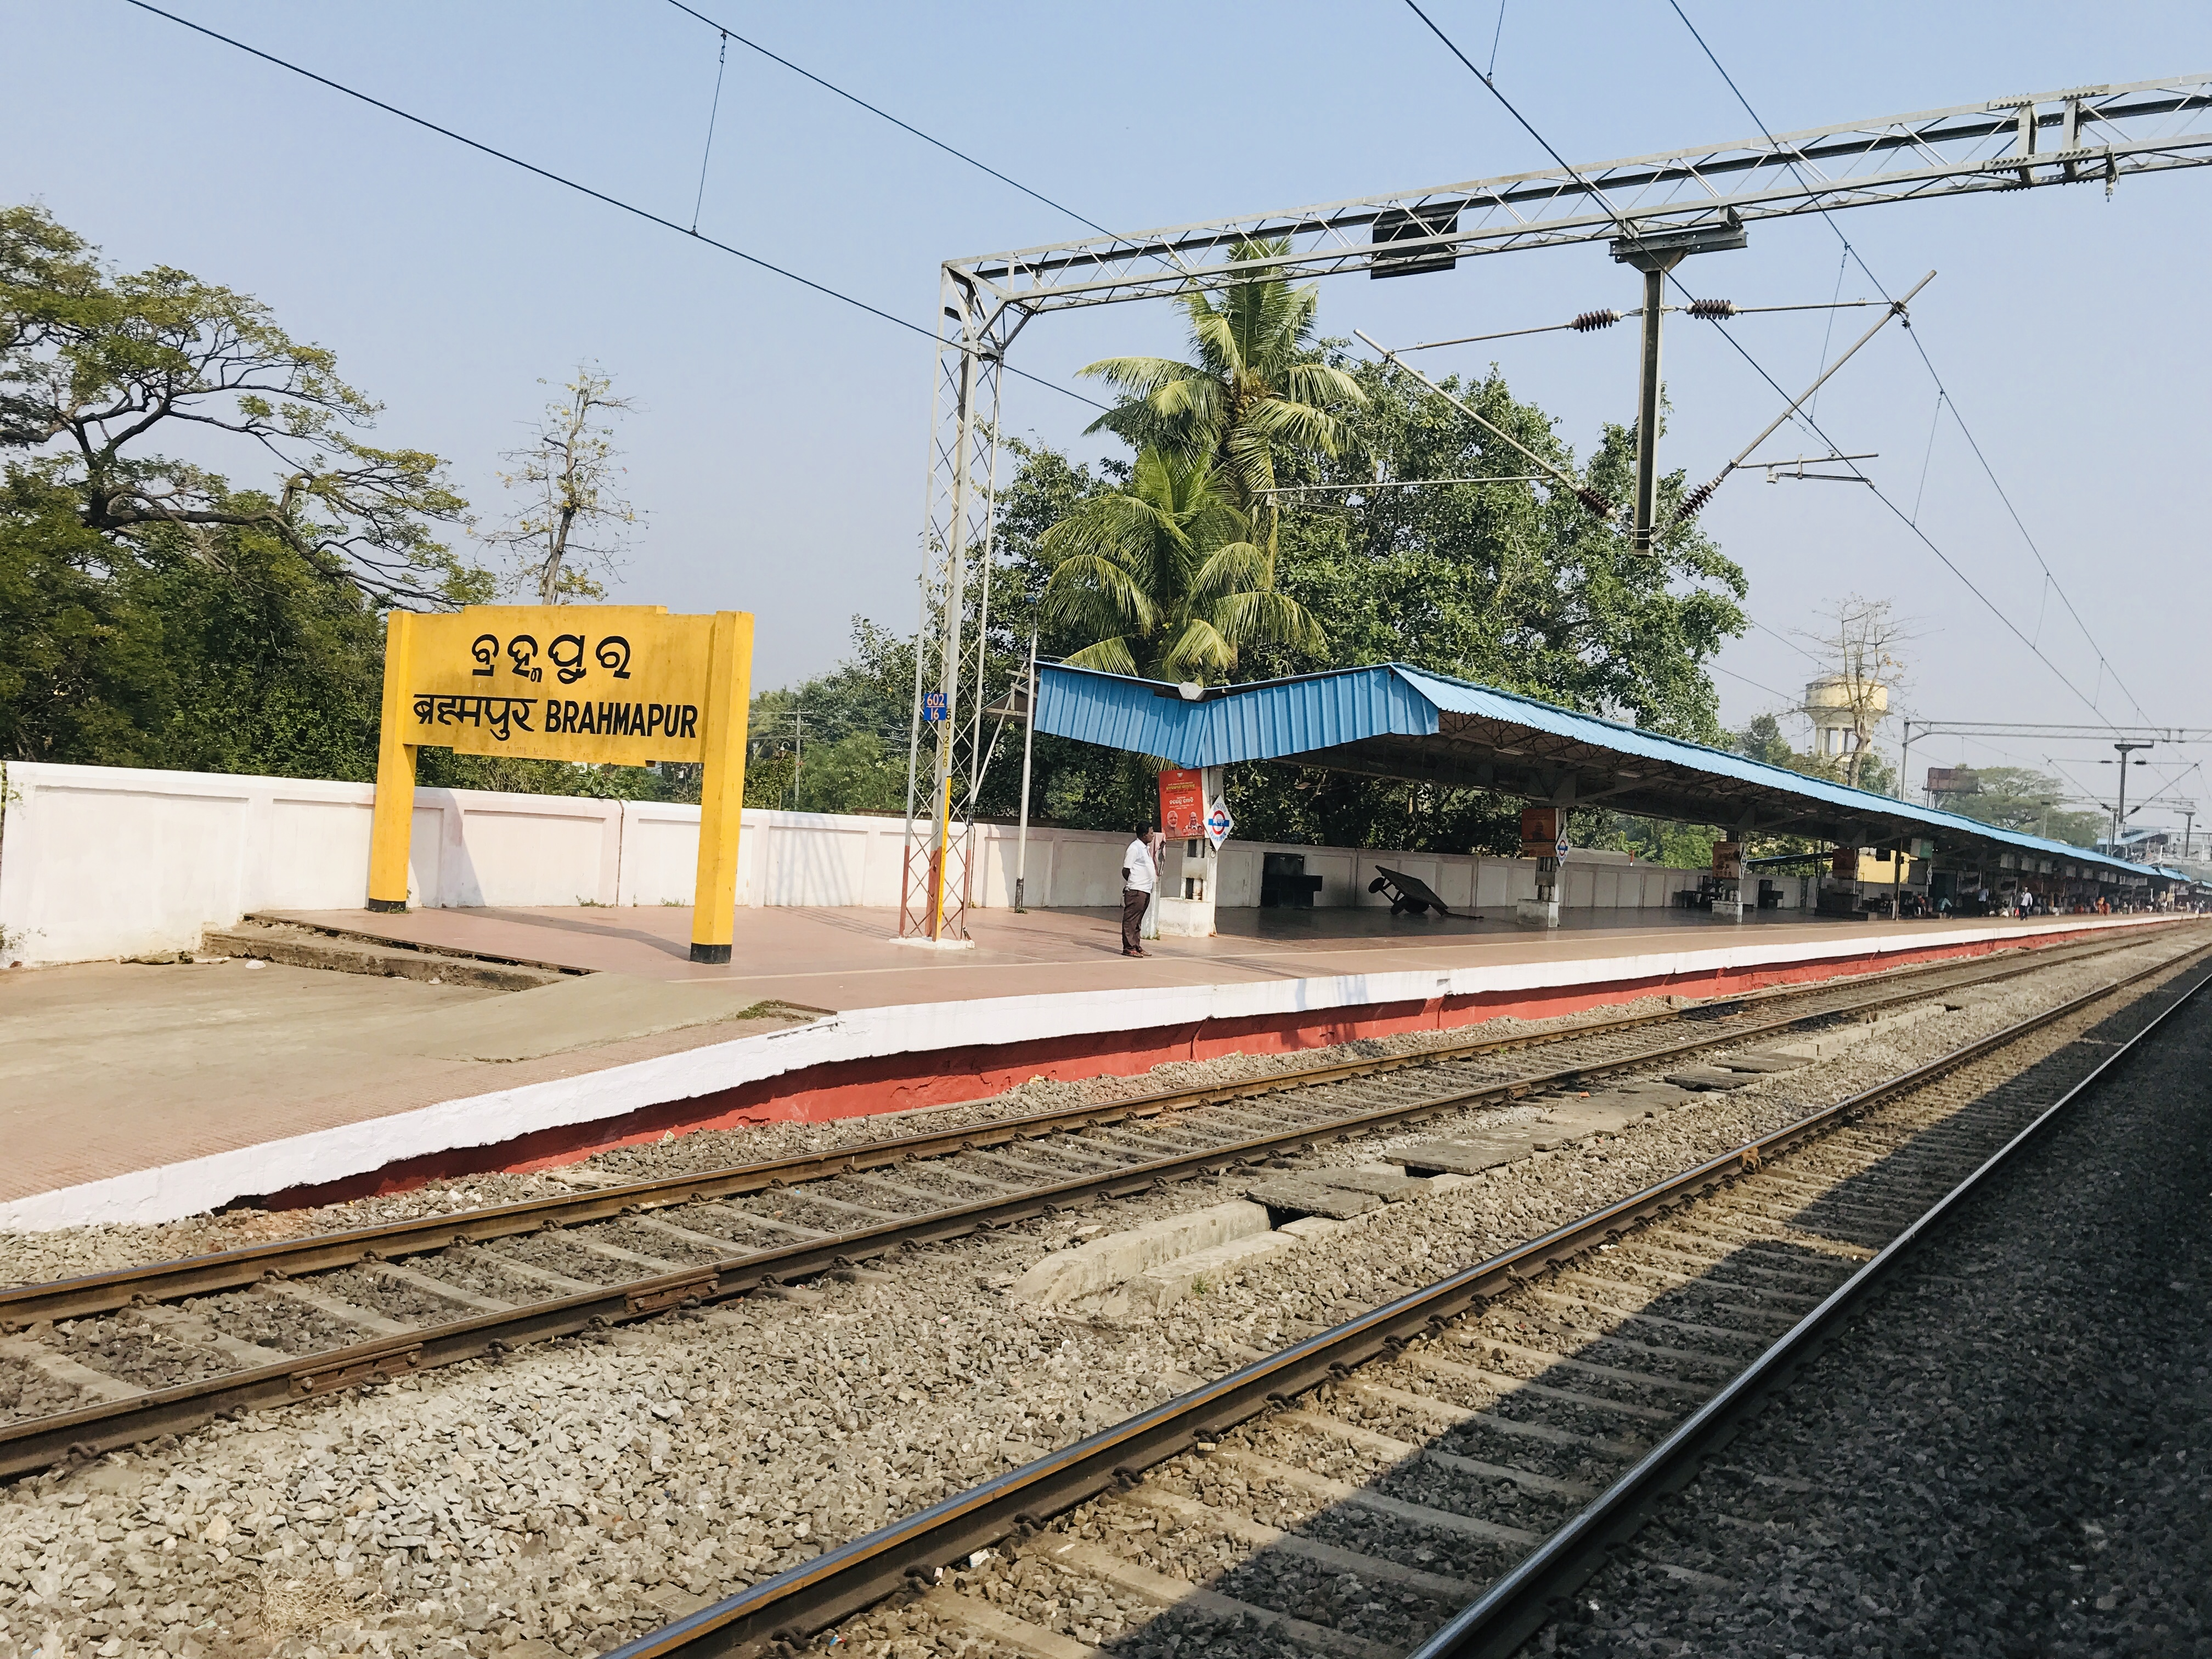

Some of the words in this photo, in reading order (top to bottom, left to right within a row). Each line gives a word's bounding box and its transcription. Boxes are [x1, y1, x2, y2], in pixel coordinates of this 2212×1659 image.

[466, 627, 635, 690] ବ୍ରହ୍ମପୁର
[413, 690, 540, 744] ब्रह्मपुर
[540, 694, 700, 744] BRAHMAPUR